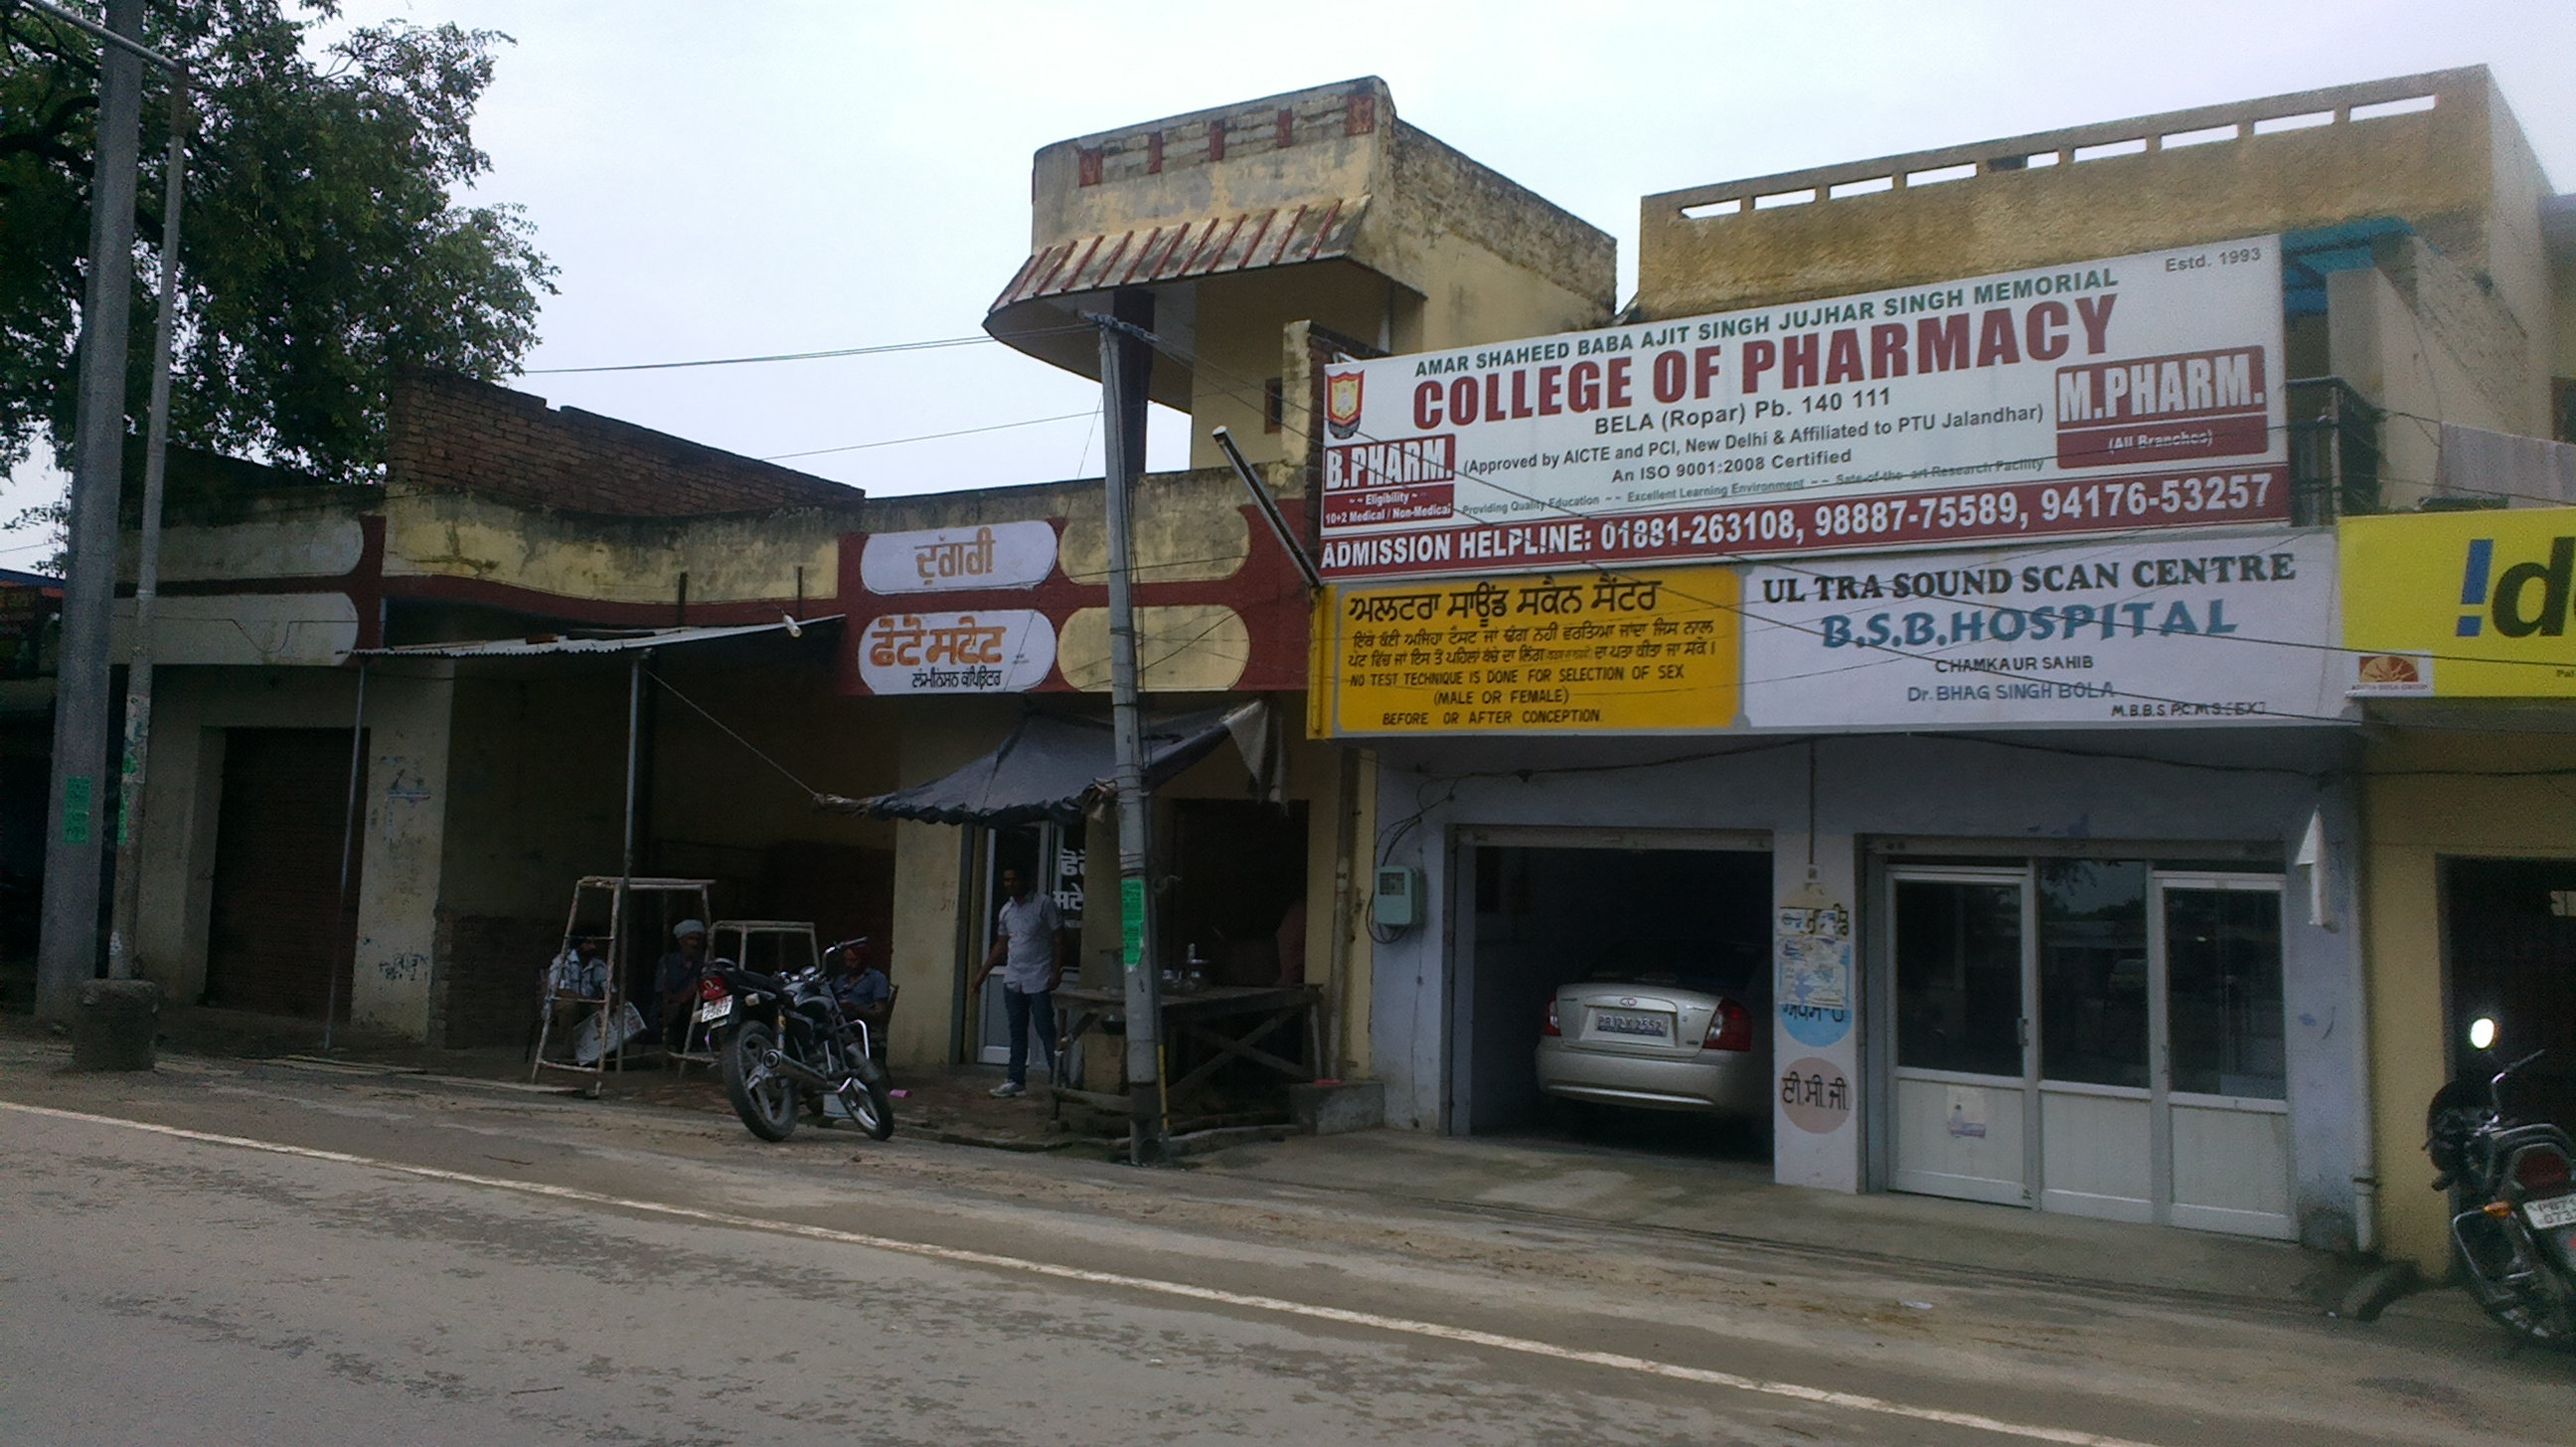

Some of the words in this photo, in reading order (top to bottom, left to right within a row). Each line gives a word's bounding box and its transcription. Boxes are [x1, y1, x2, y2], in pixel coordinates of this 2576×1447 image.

[2162, 250, 2217, 277] Estd.
[2215, 242, 2267, 268] 1993
[1968, 262, 2122, 311] MEMORIAL
[1877, 283, 1967, 321] SINGH
[1776, 296, 1878, 335] JUJHAR
[1325, 434, 1456, 491] B.PHARM.
[1408, 350, 1473, 381] AMAR
[1465, 451, 1538, 480] Approved
[1472, 337, 1572, 372] SHAHEED
[1410, 352, 1640, 432] COLLEGE
[1539, 448, 1560, 476] by
[1561, 442, 1613, 469] AICTE
[1573, 331, 1638, 359] BABA
[1607, 465, 1636, 484] An
[1590, 410, 1659, 438] BELA
[1613, 440, 1645, 466] and
[1635, 462, 1673, 484] ISO
[1645, 436, 1680, 458] PCI,
[1636, 323, 1693, 353] AJIT
[1649, 341, 1728, 405] OF
[1673, 458, 1716, 480] 9001
[1682, 432, 1721, 457] New
[1669, 402, 1741, 431] Ropar
[1692, 313, 1776, 345] SINGH
[1721, 426, 1769, 452] Delhi
[1723, 452, 1769, 477] 2008
[1750, 396, 1794, 421] Pb.
[1768, 422, 1786, 446] &
[1768, 445, 1854, 472] Certified
[1797, 389, 1845, 418] 140
[1785, 415, 1871, 446] Affiliated
[1850, 384, 1897, 407] 111
[1871, 412, 1895, 438] to
[1893, 409, 1938, 436] PTU
[1736, 291, 2120, 400] PHARMACY
[1939, 402, 2040, 431] Jalandhar
[2056, 345, 2265, 423] M.PHARM.
[2034, 466, 2279, 529] 94176-53257
[1810, 488, 2022, 547] 98887-75589
[863, 613, 931, 670] ਫੇਟੇ
[909, 525, 1003, 587] ਦੁੱਗਰੀ
[924, 612, 1014, 667] मंटेट
[1343, 670, 1367, 693] NO
[1345, 649, 1368, 671] ਪੇਟ
[1348, 626, 1375, 649] ਇਂਕ
[1368, 647, 1393, 669] ਵਿਚ
[1367, 668, 1402, 687] TEST
[1319, 528, 1454, 569] ADMISSION
[1375, 624, 1403, 647] ਥੇਈ
[1344, 589, 1445, 626] ਅਲਟਰਾ
[1389, 648, 1409, 667] ਜਾ
[1376, 709, 1432, 729] BEFORE
[1408, 646, 1432, 666] ਟਿਸ
[1402, 623, 1446, 647] ਅਸਿਰਾ
[1402, 665, 1468, 689] TECHNIQUE
[1431, 647, 1444, 665] ਤੇ
[1438, 707, 1464, 727] OR
[1437, 689, 1480, 707] MALE
[1445, 622, 1480, 646] ਟੌਸਟ
[1444, 644, 1484, 666] ਪਹਿਲਾਂ
[1464, 668, 1484, 687] 15
[1440, 577, 1517, 629] ਸਾਊਂਡ
[1464, 708, 1517, 726] AFTER
[1480, 623, 1502, 645] ਜਾਂ
[1480, 643, 1502, 667] ਬੱਚੇ
[1478, 689, 1506, 707] OR
[1482, 665, 1524, 685] DONE
[1500, 645, 1518, 665] ਦਾ
[1500, 619, 1531, 643] ਢੰਗ
[1454, 517, 1585, 565] HELPLINE
[1514, 642, 1545, 663] ਲਿਂਗ
[1506, 684, 1563, 706] FEMALE
[1522, 661, 1557, 685] FOR
[1528, 618, 1562, 646] ਨਹੀ
[1513, 571, 1585, 618] ਸਕੈਨ
[1519, 707, 1603, 727] CONCEPTION
[1559, 616, 1617, 642] ਵਰਤਿਆ
[1556, 664, 1631, 685] SELECTION
[1592, 642, 1608, 663] ਦਾ
[1608, 641, 1635, 661] ਪਤਾ
[1587, 568, 1668, 611] ਸੈਂਟਰ
[1615, 617, 1652, 639] ਜਾਂਦਾ
[1630, 661, 1655, 681] OF
[1633, 635, 1664, 660] ਕੀਤਾ
[1649, 611, 1683, 640] ਜਿਸ
[1654, 661, 1689, 683] SEX
[1663, 638, 1684, 659] ਜਾ
[1598, 504, 1797, 561] 01881-263108
[1682, 636, 1714, 657] ਸਕੇ
[1681, 615, 1721, 637] ਨਾਲ
[1759, 569, 1889, 608] ULTRA
[1814, 604, 1951, 661] B.S.B.
[1903, 683, 1936, 706] Dr.
[1887, 562, 2017, 605] SOUND
[1933, 679, 1994, 705] BHAG
[1931, 653, 2042, 677] CHAMKAUR
[1993, 680, 2058, 703] SINGH
[2038, 650, 2098, 673] SAHIB
[2016, 556, 2128, 596] SCAN
[2054, 676, 2122, 699] BOLA
[1947, 593, 2245, 648] HOSPITAL
[2104, 695, 2276, 721] M.B.B.S, P.C.M3,EX
[2128, 548, 2301, 589] CENTRE
[2439, 529, 2574, 650] id
[1778, 1061, 1850, 1119] ਈ.ਸੀ.ਜੀ